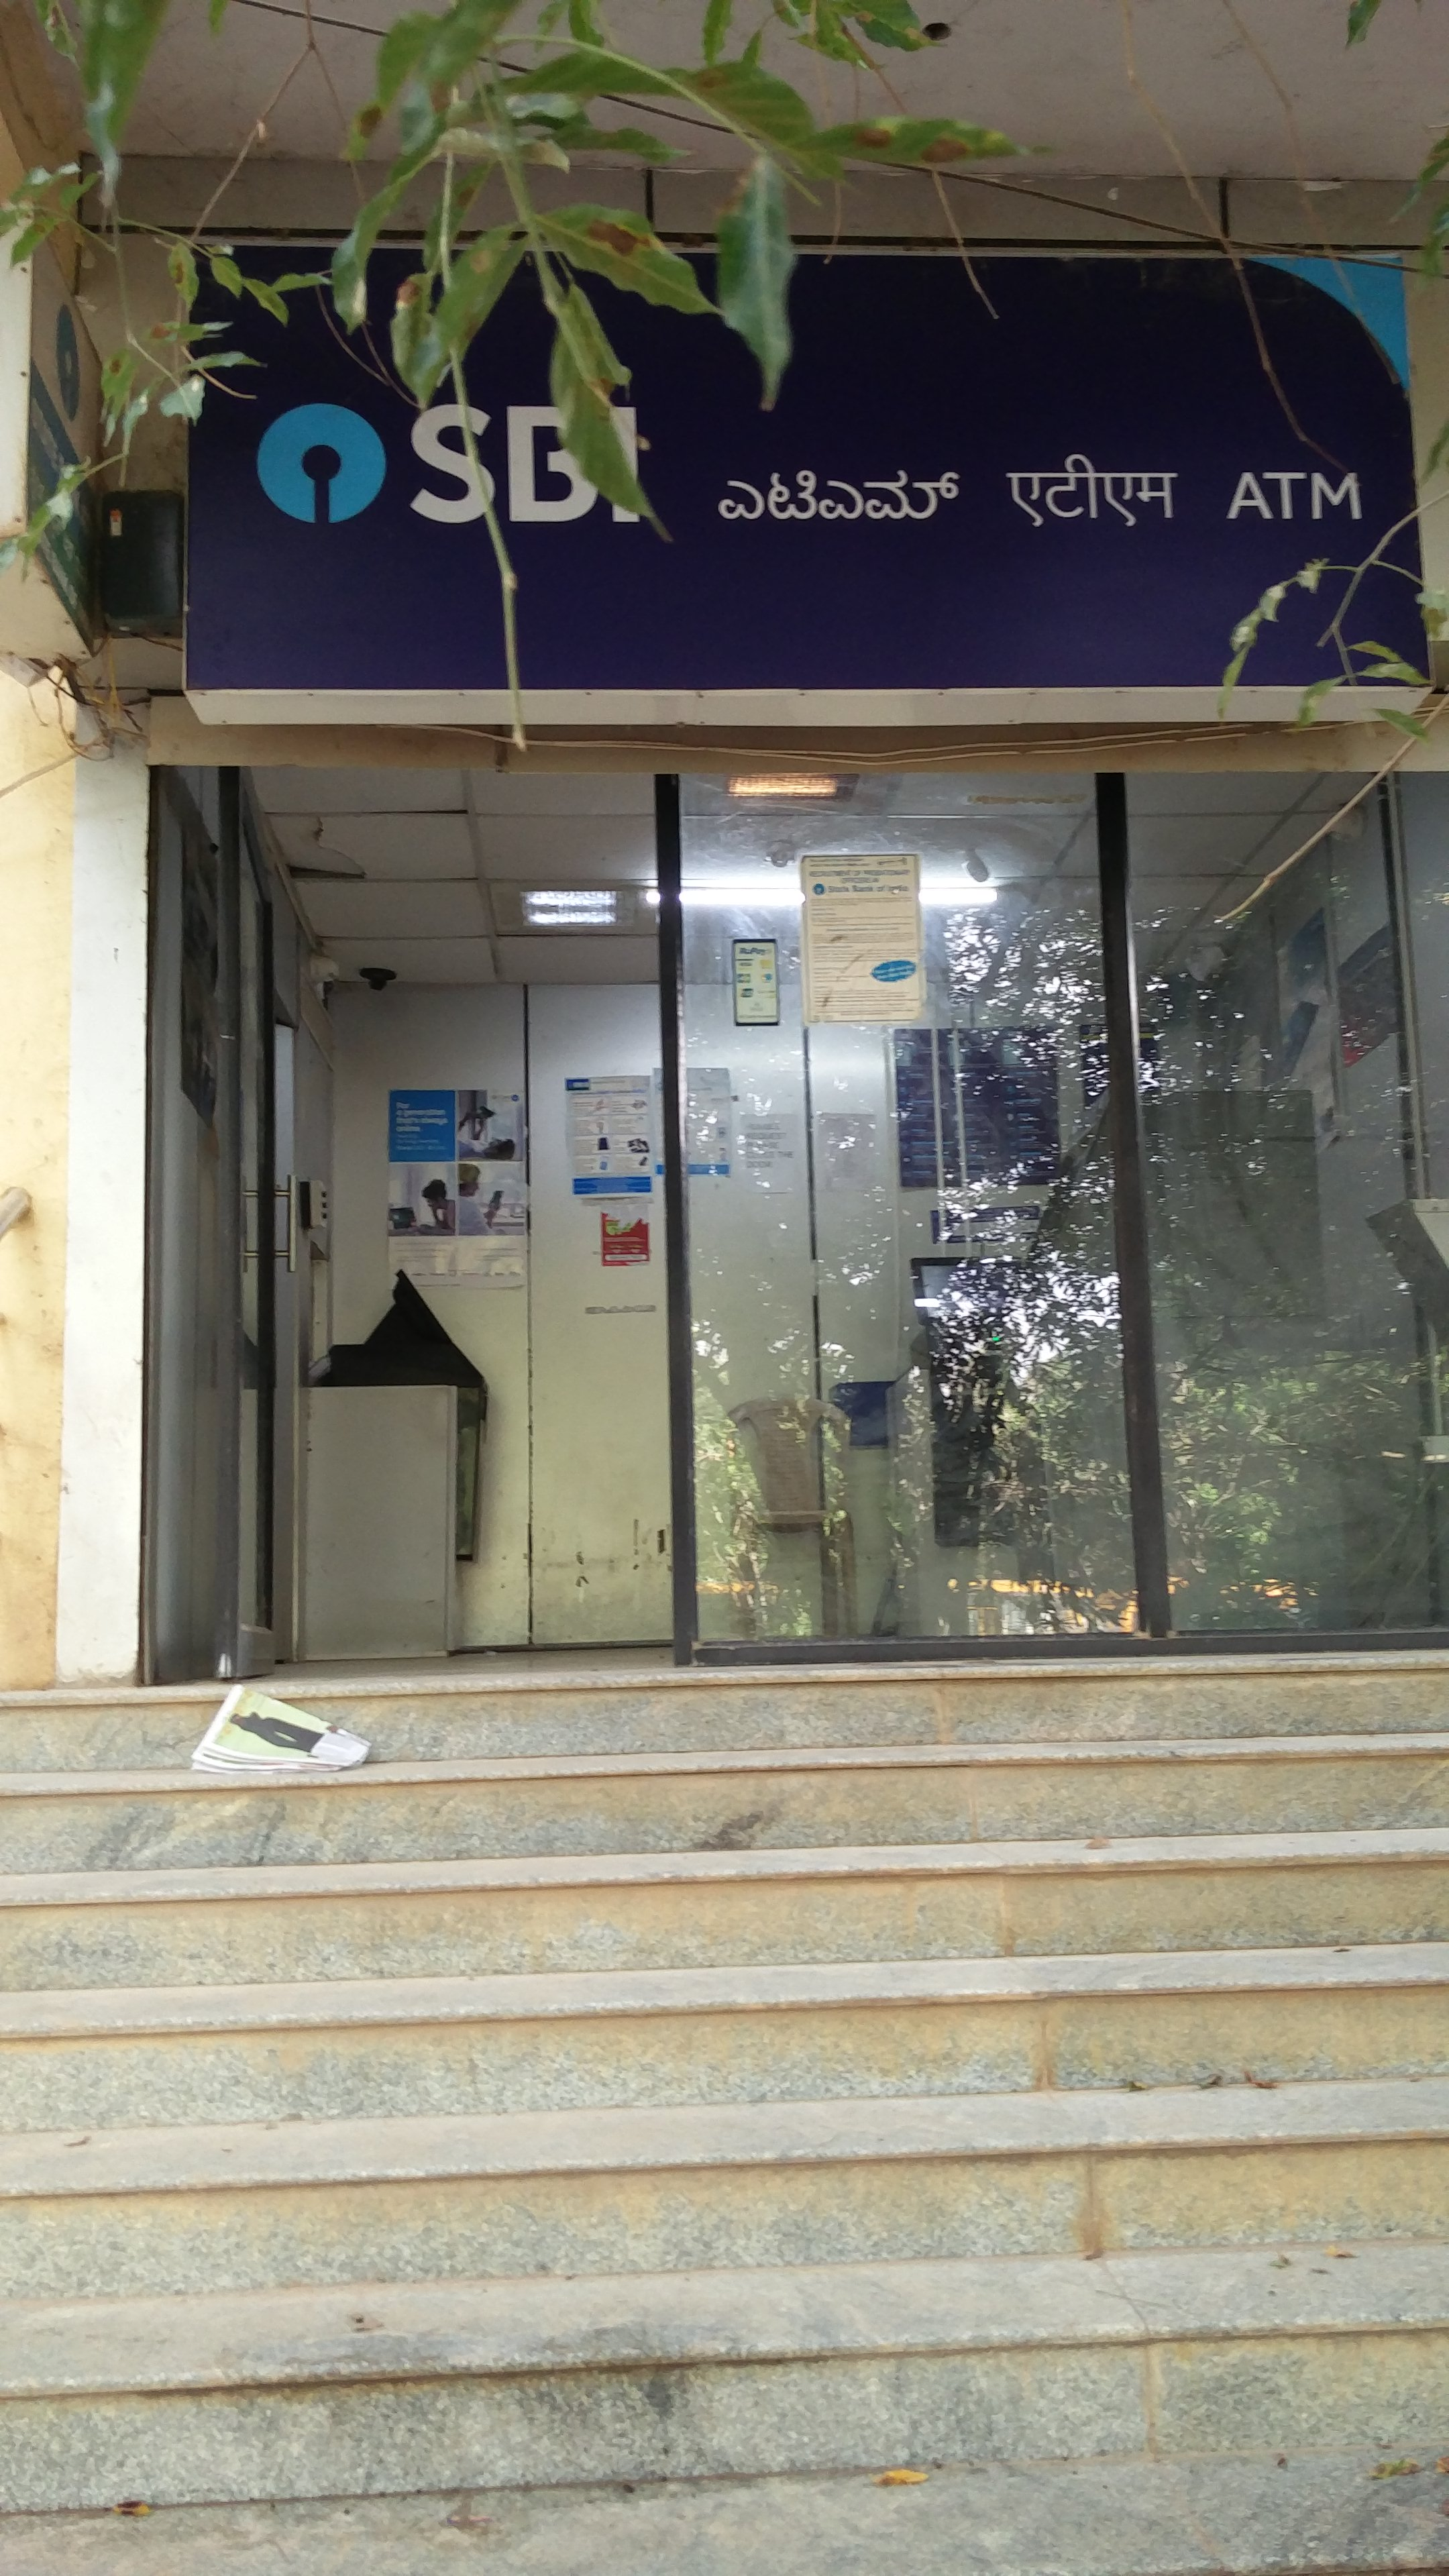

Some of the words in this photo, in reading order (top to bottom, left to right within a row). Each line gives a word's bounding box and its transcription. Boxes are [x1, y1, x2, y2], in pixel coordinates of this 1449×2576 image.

[392, 396, 648, 533] SBI
[704, 460, 963, 524] ಎಟಿಎಮ್
[1003, 445, 1181, 533] एटीएम
[1222, 467, 1366, 524] ATM
[392, 1099, 414, 1113] ಸ್ಪ